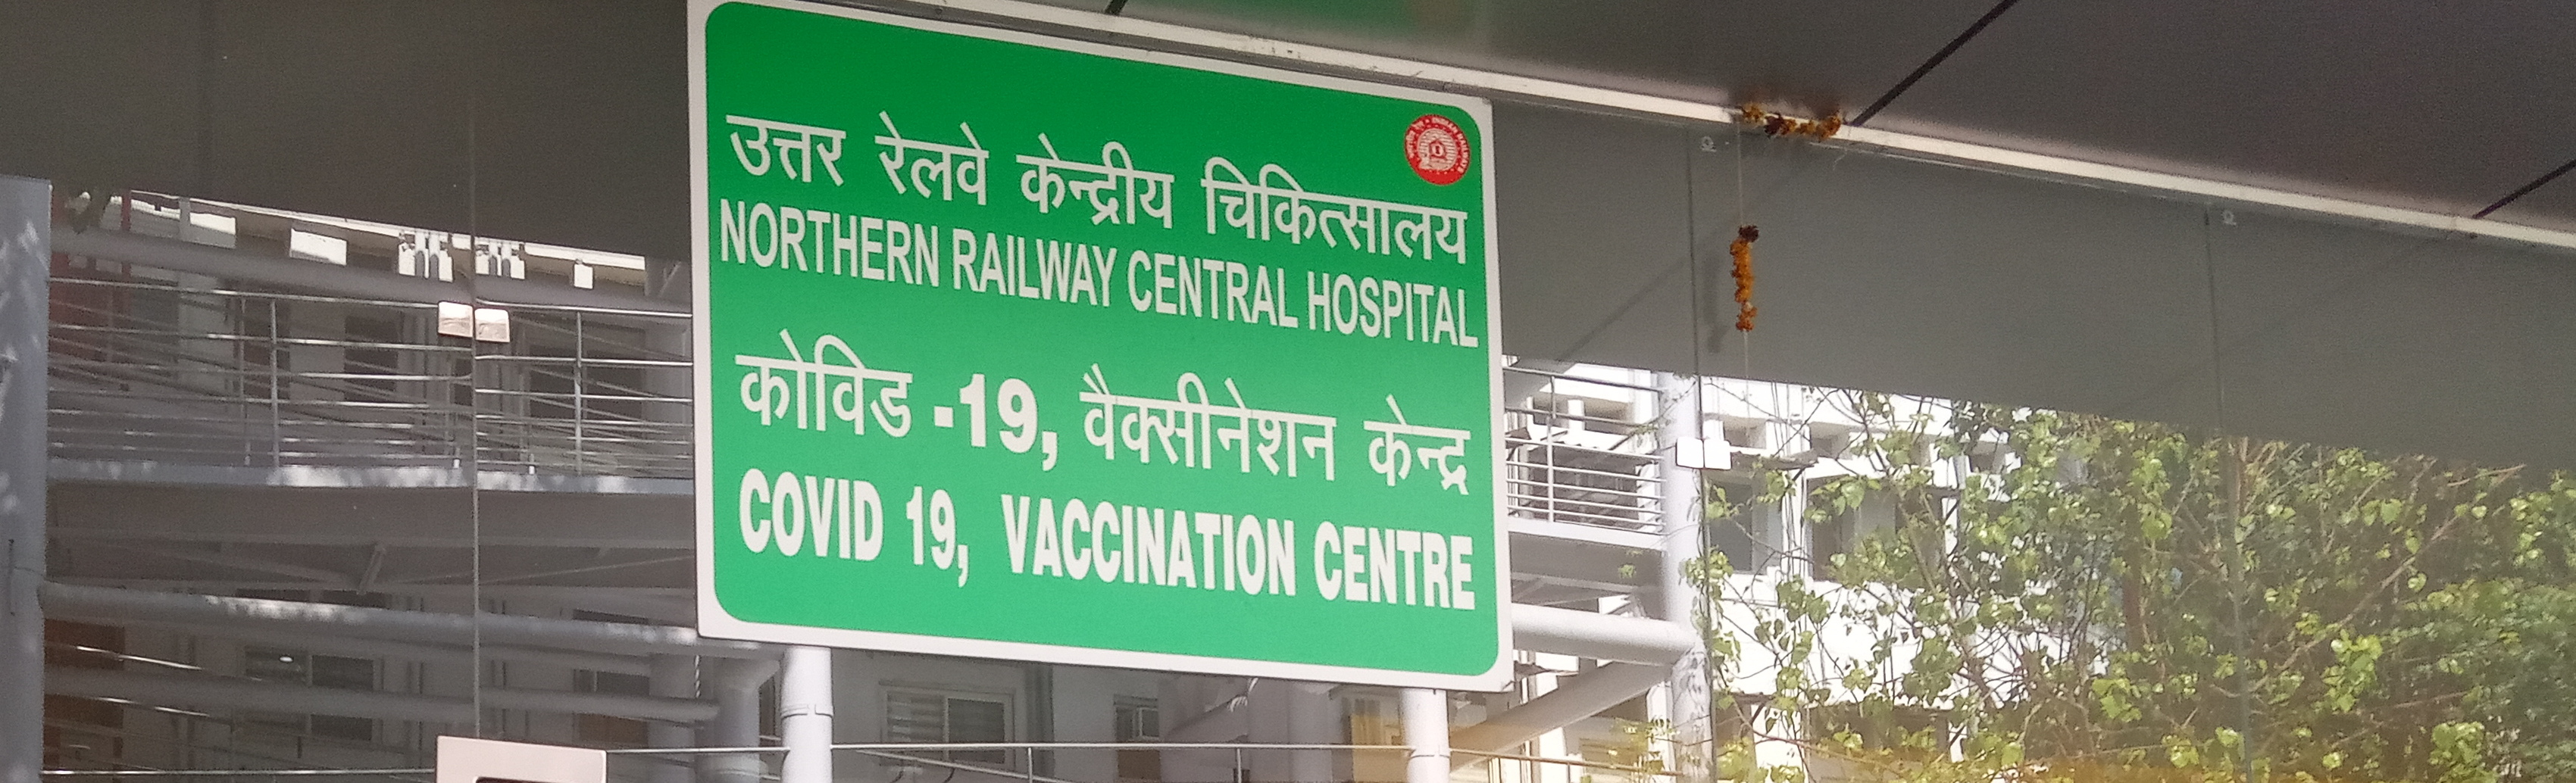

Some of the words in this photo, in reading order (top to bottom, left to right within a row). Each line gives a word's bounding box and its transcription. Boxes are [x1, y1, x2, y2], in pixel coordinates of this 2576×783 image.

[724, 108, 851, 192] उत्तर
[718, 193, 942, 292] NORTHERN
[868, 105, 993, 211] रेलवे
[952, 224, 1121, 310] RAILWAY
[1008, 131, 1181, 232] केन्द्रीय
[1124, 248, 1302, 329] CENTRAL
[1198, 151, 1473, 264] चिकित्सालय
[1305, 267, 1480, 349] HOSPITAL
[1407, 114, 1428, 136] रेल
[731, 329, 916, 445] कोविड
[940, 363, 1059, 473] -19,
[1075, 358, 1340, 483] वैक्सीनेशन
[1357, 389, 1474, 498] केन्द्र
[732, 460, 888, 569] COVID
[897, 476, 974, 588] 19,
[1002, 490, 1296, 601] VACCINATION
[1313, 517, 1477, 613] CENTRE